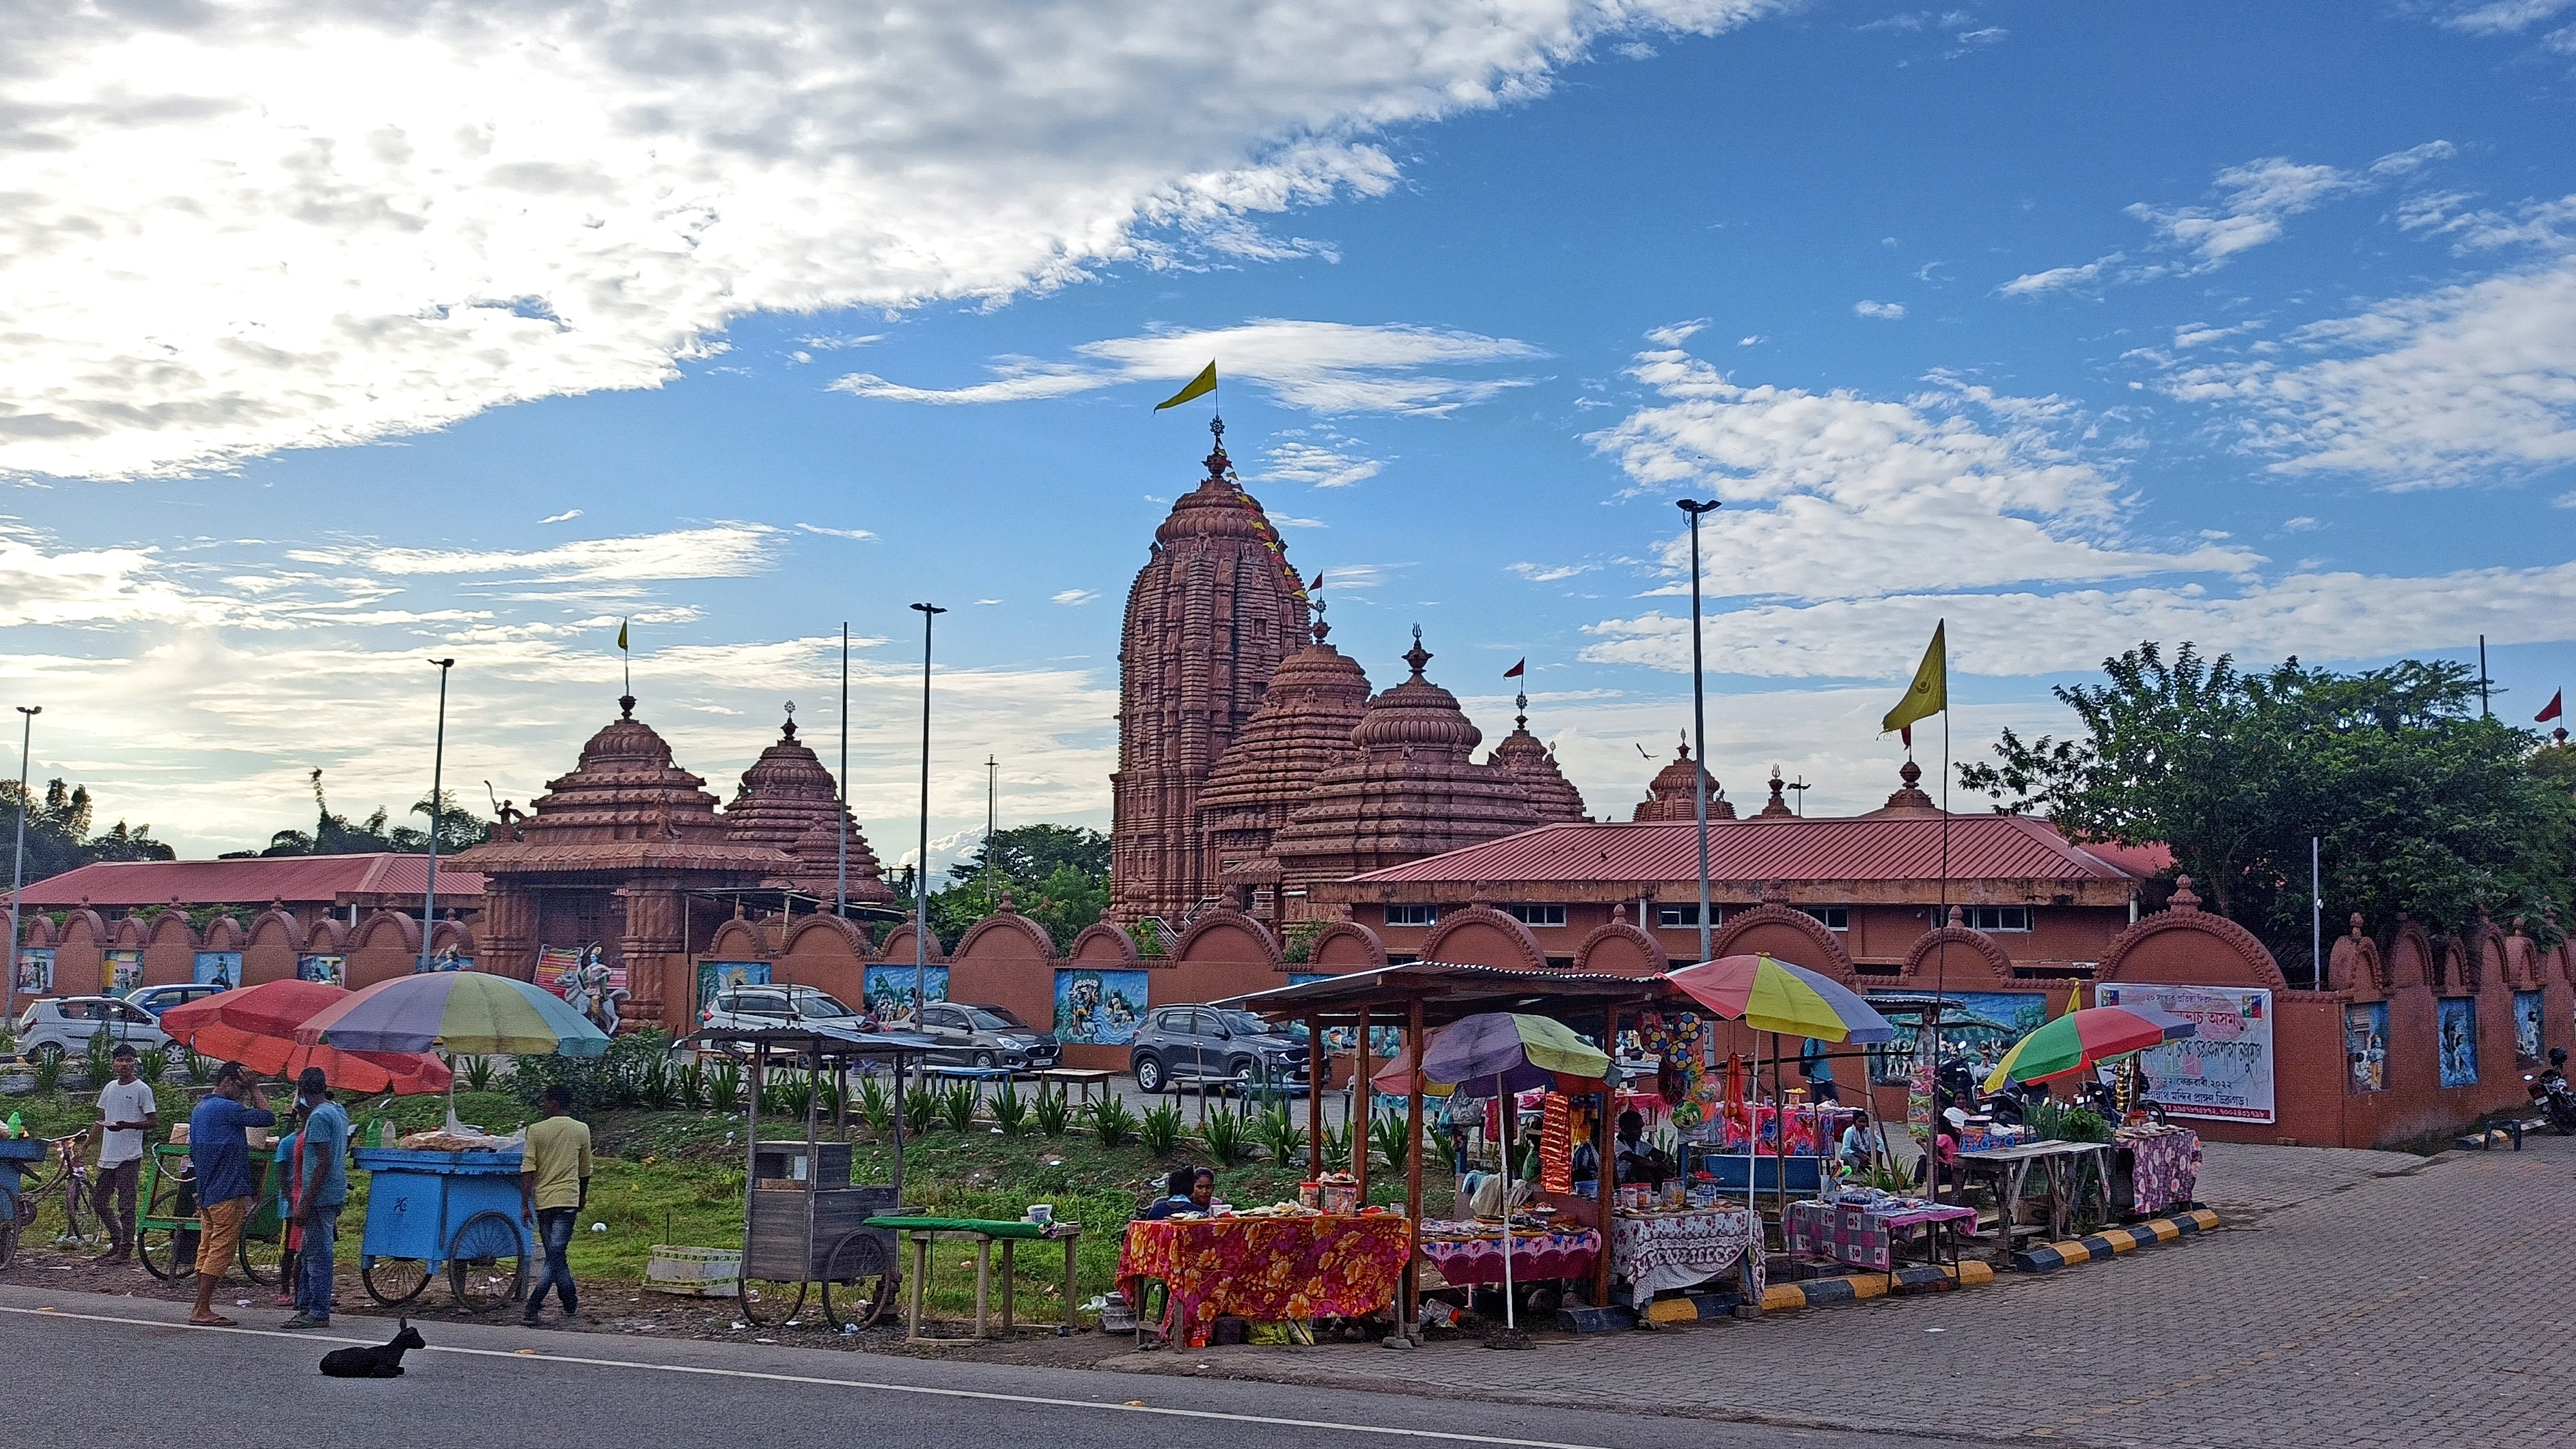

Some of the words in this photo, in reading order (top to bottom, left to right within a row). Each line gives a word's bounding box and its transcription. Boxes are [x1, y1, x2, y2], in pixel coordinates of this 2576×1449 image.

[2150, 989, 2181, 1004] অসংখ্যক৷
[2206, 1006, 2241, 1030] অসম
[2236, 1029, 2268, 1077] অনুষ্ঠান
[2165, 1084, 2195, 1103] মন্দিৰ
[2174, 1072, 2214, 1090] ফেক্ৰবাৰী
[2188, 1090, 2216, 1105] প্রাঙ্গণ
[2207, 1075, 2234, 1094] ২০২২
[2211, 1086, 2247, 1110] ডিব্ৰুগড়